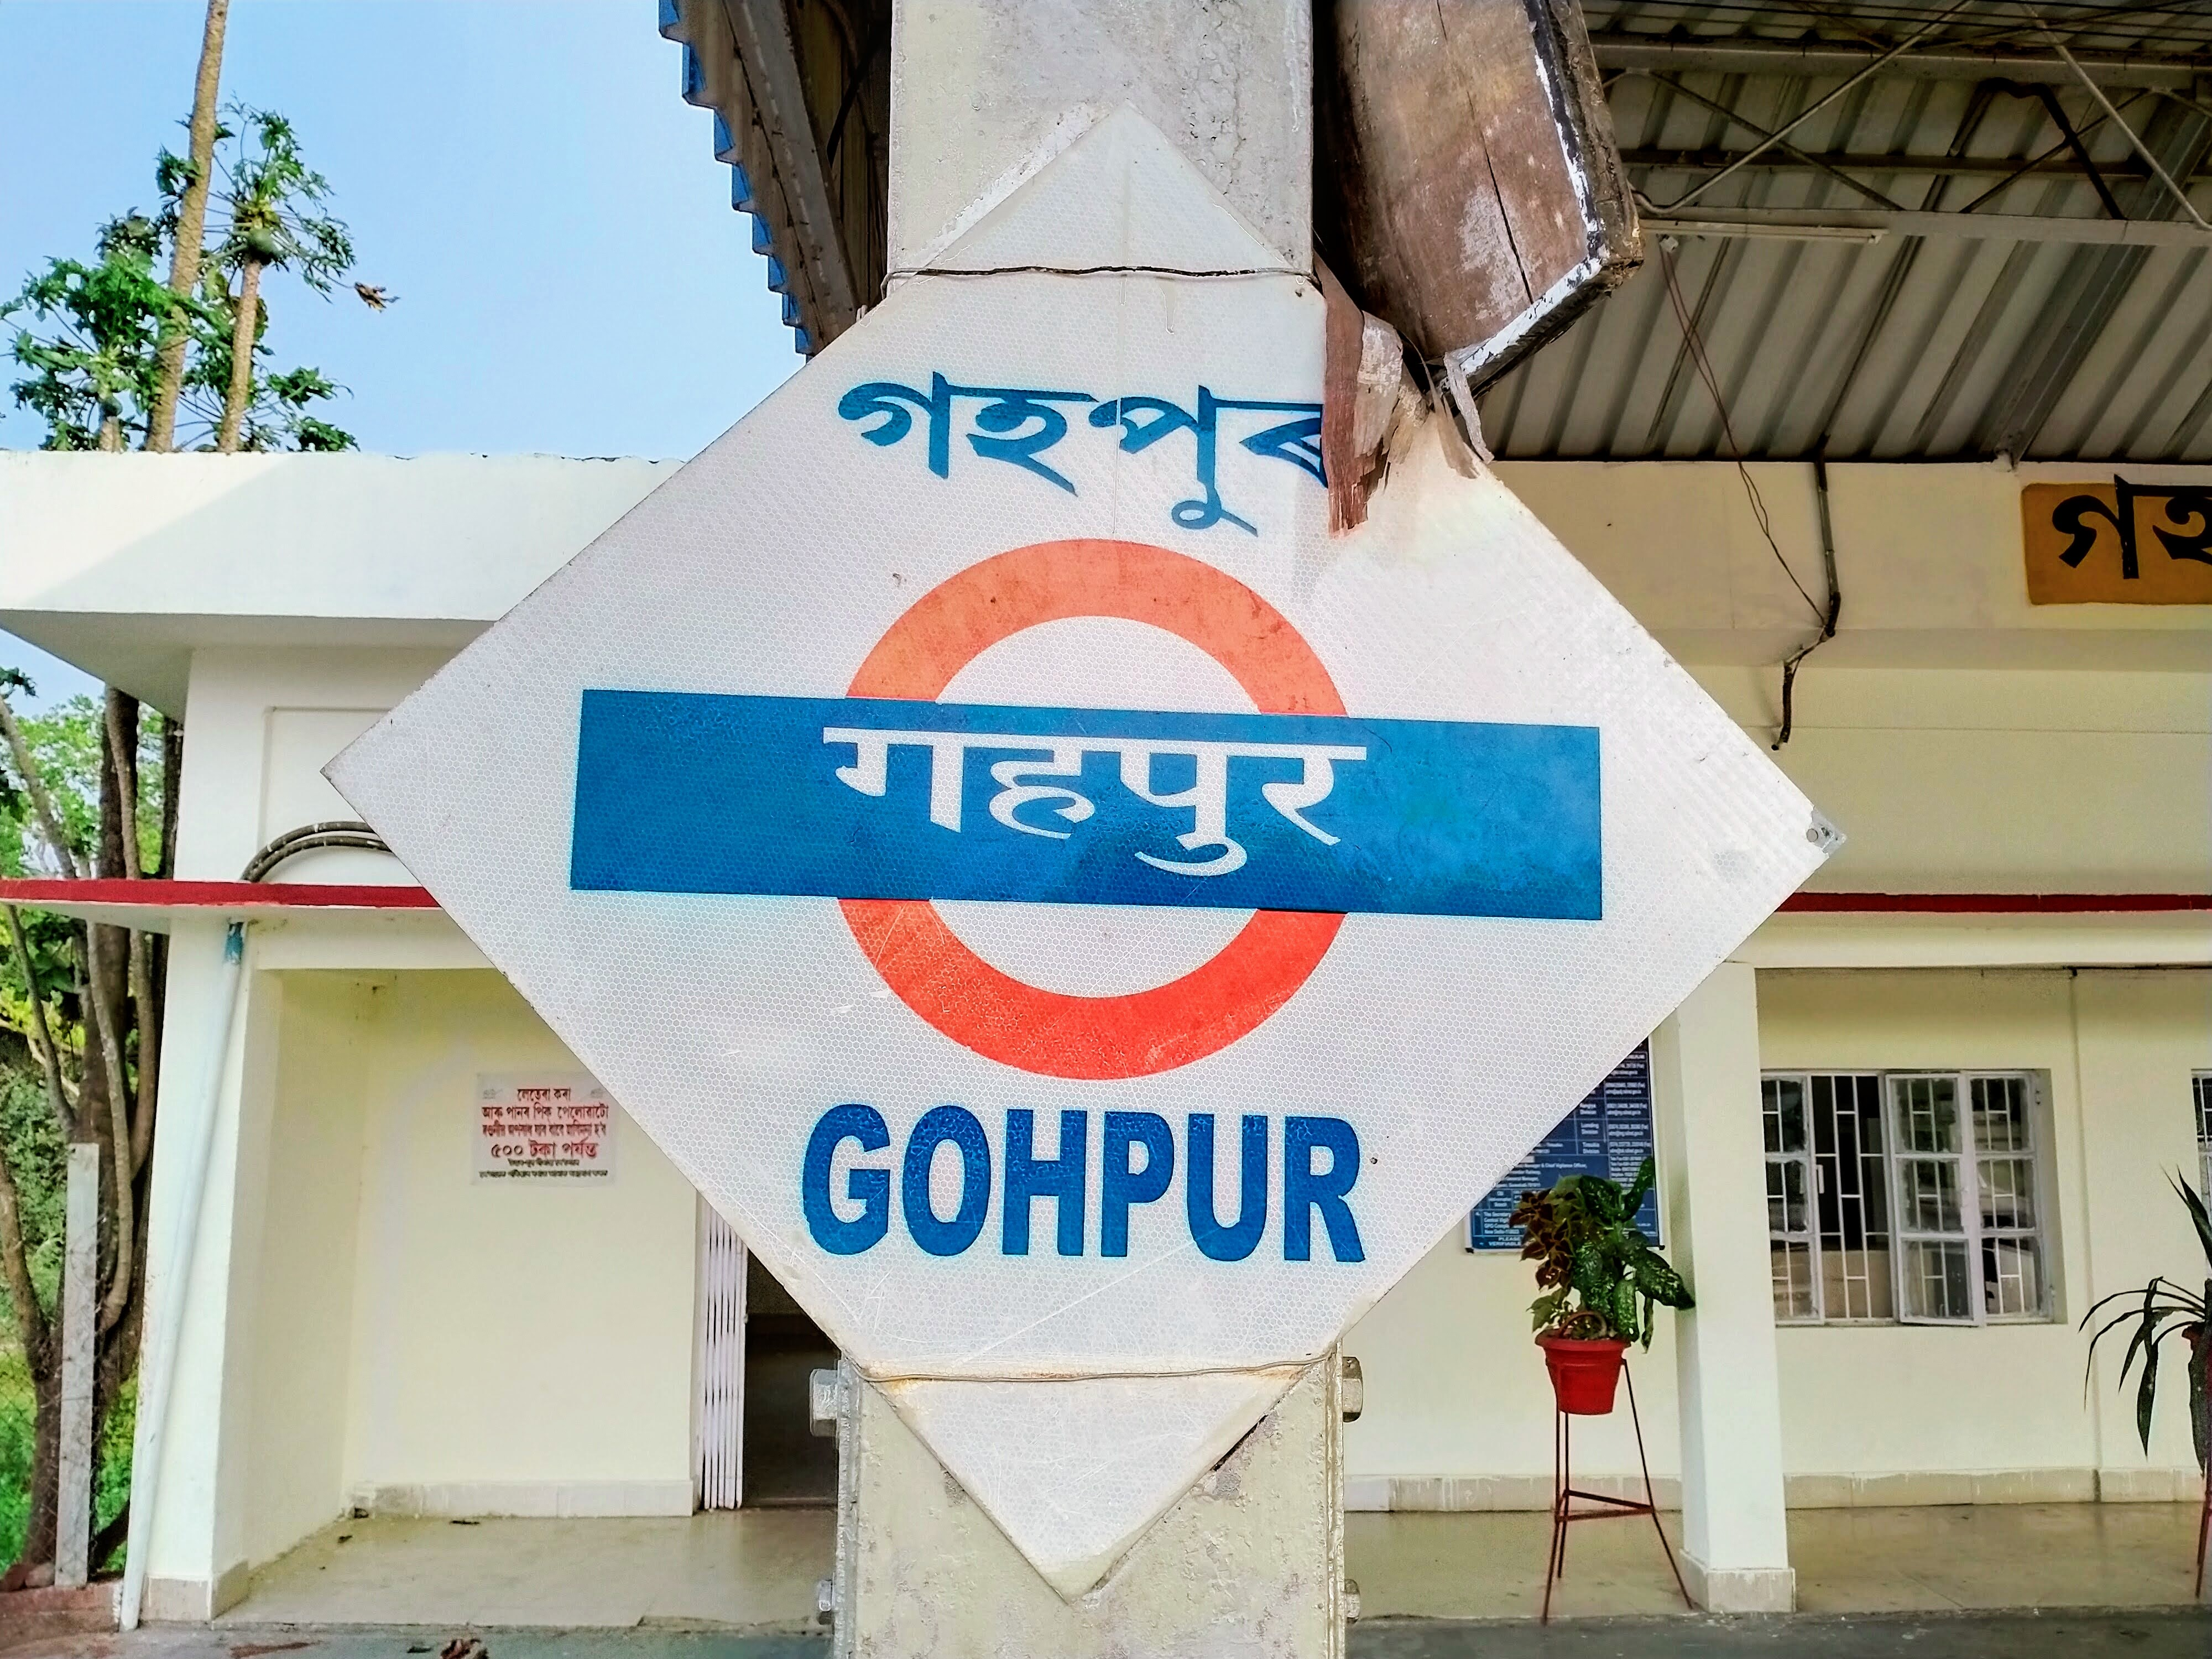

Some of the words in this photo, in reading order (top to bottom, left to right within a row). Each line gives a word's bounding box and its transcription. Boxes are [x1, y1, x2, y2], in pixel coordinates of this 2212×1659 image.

[824, 363, 1339, 542] গহপুৰ
[821, 723, 1371, 885] गहपुर
[514, 1082, 554, 1106] লেতেৰা
[547, 1081, 574, 1104] কৰা
[479, 1101, 507, 1123] আক
[502, 1102, 534, 1121] পানৰ
[527, 1099, 555, 1124] পিক
[554, 1100, 613, 1125] পেলোৱাটো
[791, 1102, 1369, 1266] GOHPUR